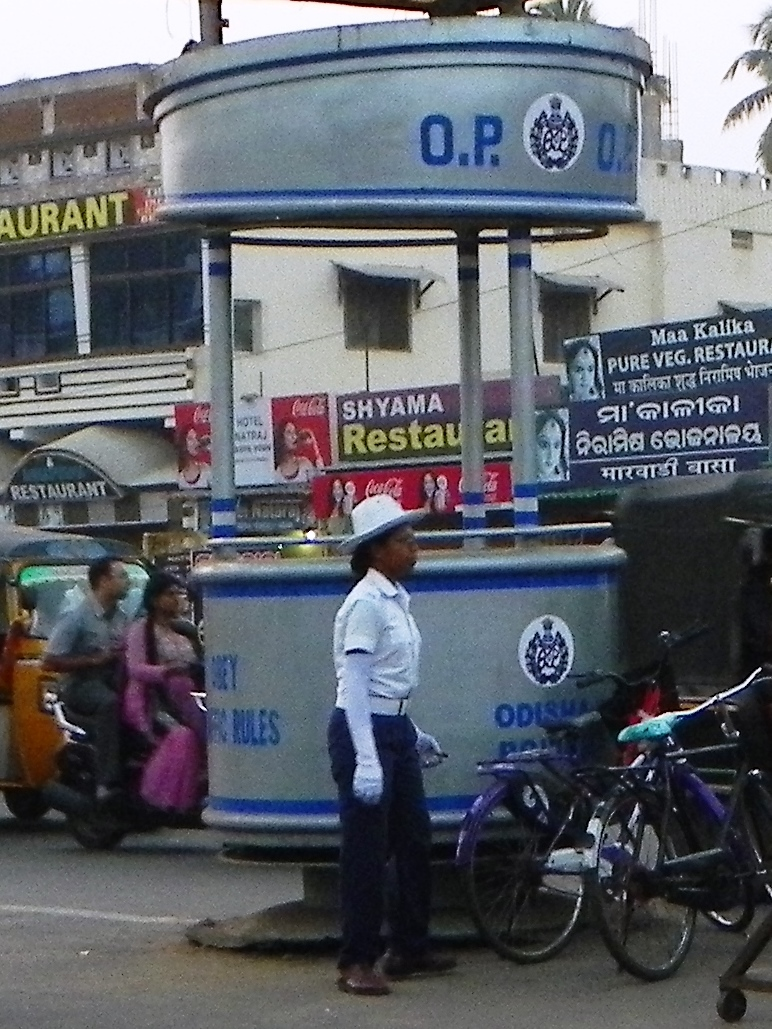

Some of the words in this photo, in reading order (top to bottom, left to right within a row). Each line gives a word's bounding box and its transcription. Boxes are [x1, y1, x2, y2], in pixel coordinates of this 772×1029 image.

[410, 105, 511, 173] O.P.
[1, 189, 128, 242] AURANT
[607, 376, 631, 401] मा
[602, 348, 655, 377] PURE
[625, 367, 675, 394] कालिका
[646, 325, 689, 349] Maa
[645, 345, 696, 374] VEG.
[667, 368, 700, 397] शुद्ध
[690, 360, 745, 389] निरामिष
[689, 309, 760, 343] Kalika
[688, 334, 772, 369] RESTAUR
[335, 391, 452, 424] SHYAMA
[593, 393, 743, 423] ମା'କାଳୀକା
[339, 416, 469, 458] Restau
[563, 417, 651, 459] 'ନିରାମିଷ
[645, 414, 767, 455] ଭୋଜନାଳୟ
[597, 453, 683, 488] मारवाडी
[680, 453, 741, 479] बासा
[7, 475, 115, 507] RESTAURANT
[224, 704, 287, 750] RULES
[492, 696, 588, 734] ODISHA